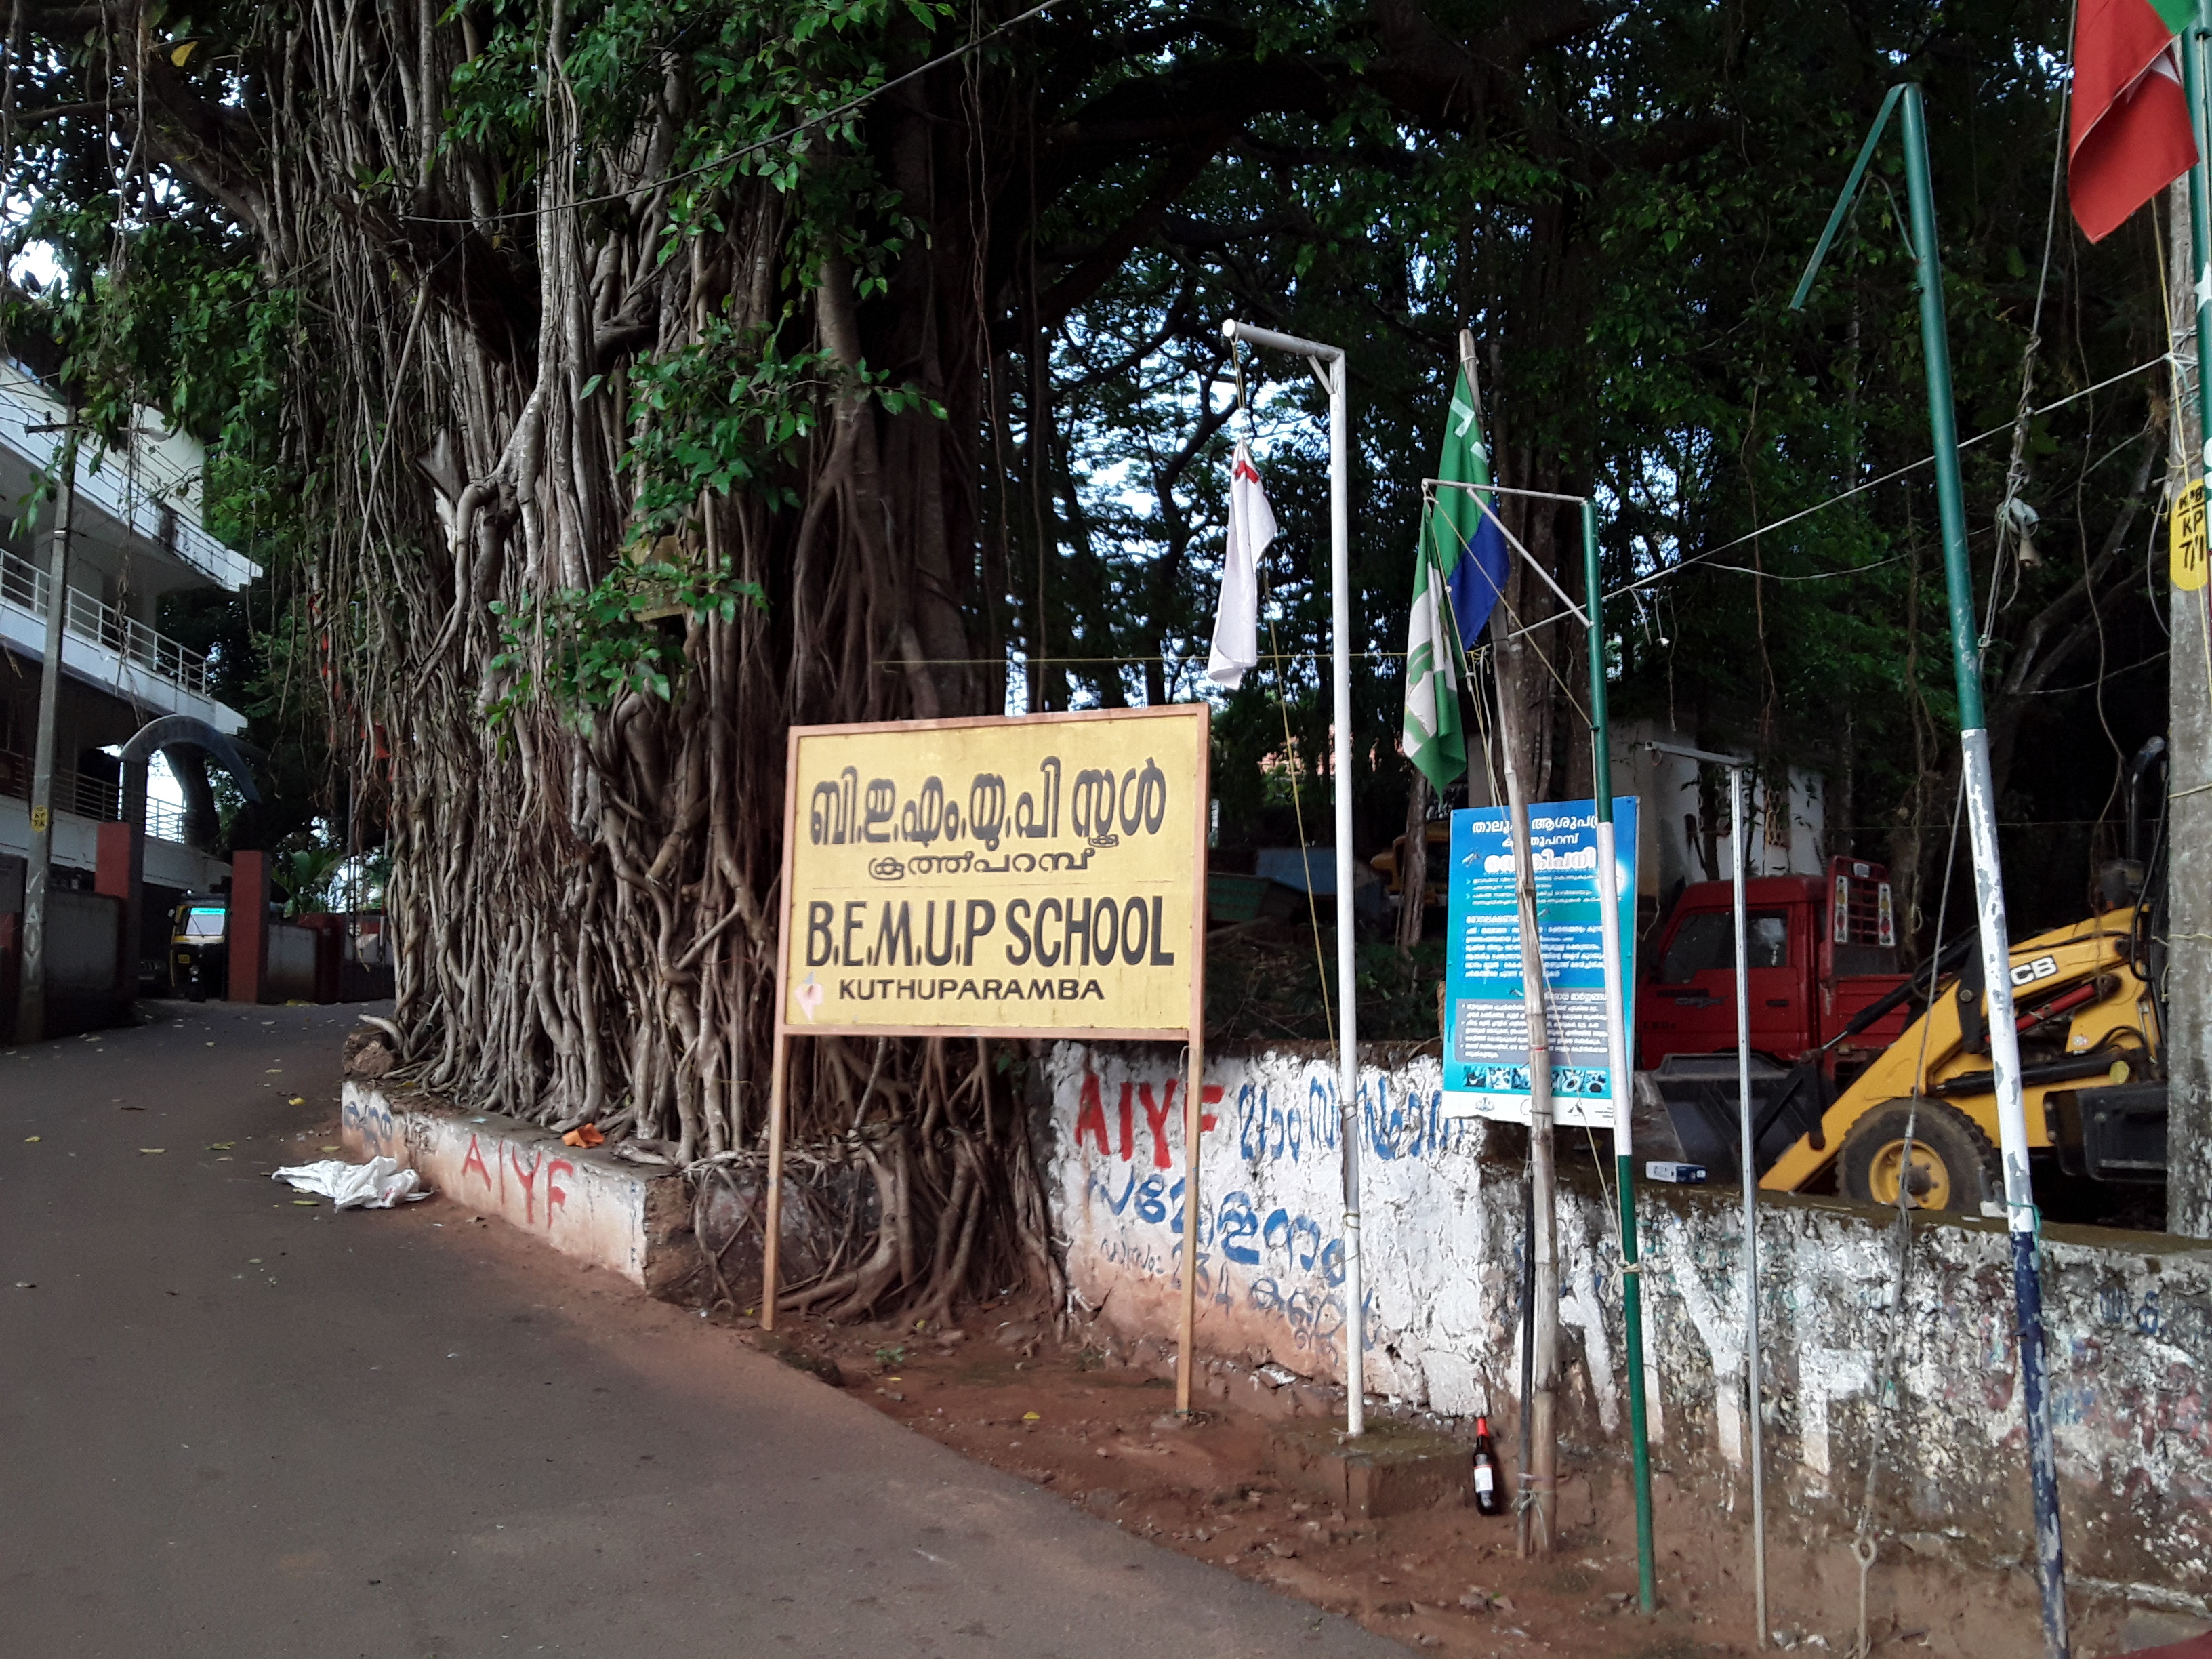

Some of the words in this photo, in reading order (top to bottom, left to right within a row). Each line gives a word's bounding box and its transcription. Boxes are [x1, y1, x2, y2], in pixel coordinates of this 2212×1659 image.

[810, 752, 1063, 854] ബി.ഇ.എം.യു.പി
[864, 845, 1099, 885] കൂത്ത്പറമ്പ്
[1068, 751, 1173, 852] സ്കൂൾ
[1467, 815, 1513, 835] താലു
[1495, 828, 1583, 853] കതുപറമ്പ്
[1524, 809, 1599, 836] ആശുപ
[802, 897, 1002, 971] B.E.M.U.P
[1002, 889, 1176, 968] SCHOOL
[835, 975, 1108, 1004] KUTHUPARAMBA
[1070, 1063, 1227, 1179] AIYF